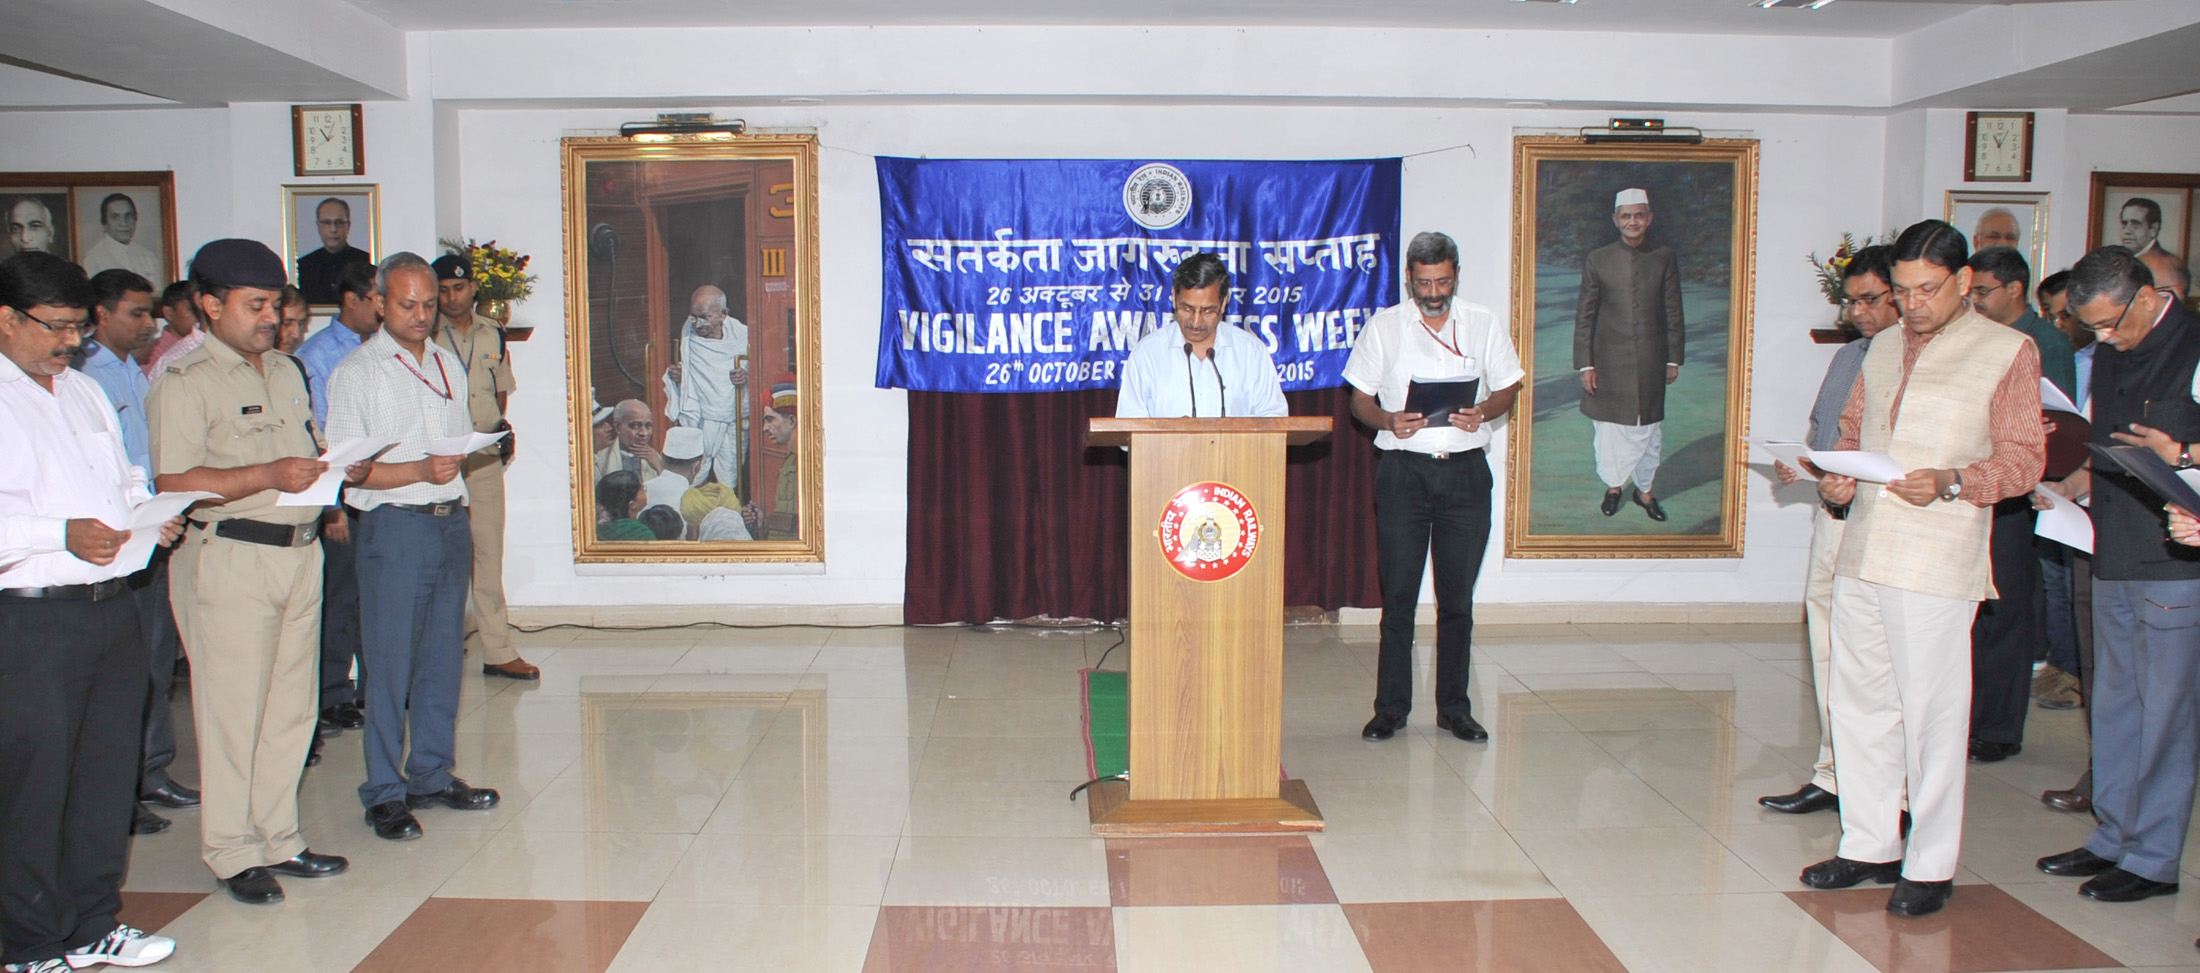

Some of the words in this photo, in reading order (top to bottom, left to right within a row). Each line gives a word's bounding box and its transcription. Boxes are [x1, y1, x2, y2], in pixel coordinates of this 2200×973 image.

[908, 217, 1067, 278] सतर्कता
[1071, 233, 1255, 279] जागरू
[1257, 229, 1383, 279] सप्‍ताह
[982, 279, 1017, 309] 26
[1014, 280, 1103, 311] अक्टूबर
[1105, 278, 1132, 305] से
[1131, 278, 1166, 309] उ।
[1249, 279, 1302, 308] 2015
[896, 305, 1076, 357] VIGILANCE
[980, 353, 1029, 390] 26th
[1023, 355, 1118, 387] OCTOBER
[1207, 483, 1253, 512] INDIAN
[1236, 504, 1261, 560] RAILWAYS